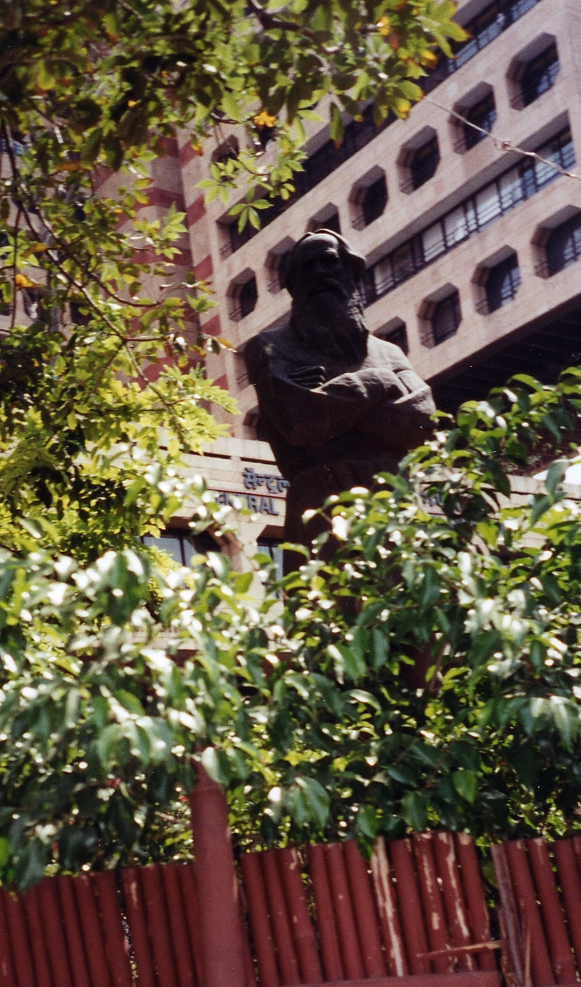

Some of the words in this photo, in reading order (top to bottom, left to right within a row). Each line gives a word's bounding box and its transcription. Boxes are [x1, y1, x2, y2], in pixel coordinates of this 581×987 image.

[240, 467, 291, 497] सेन्ट्रल